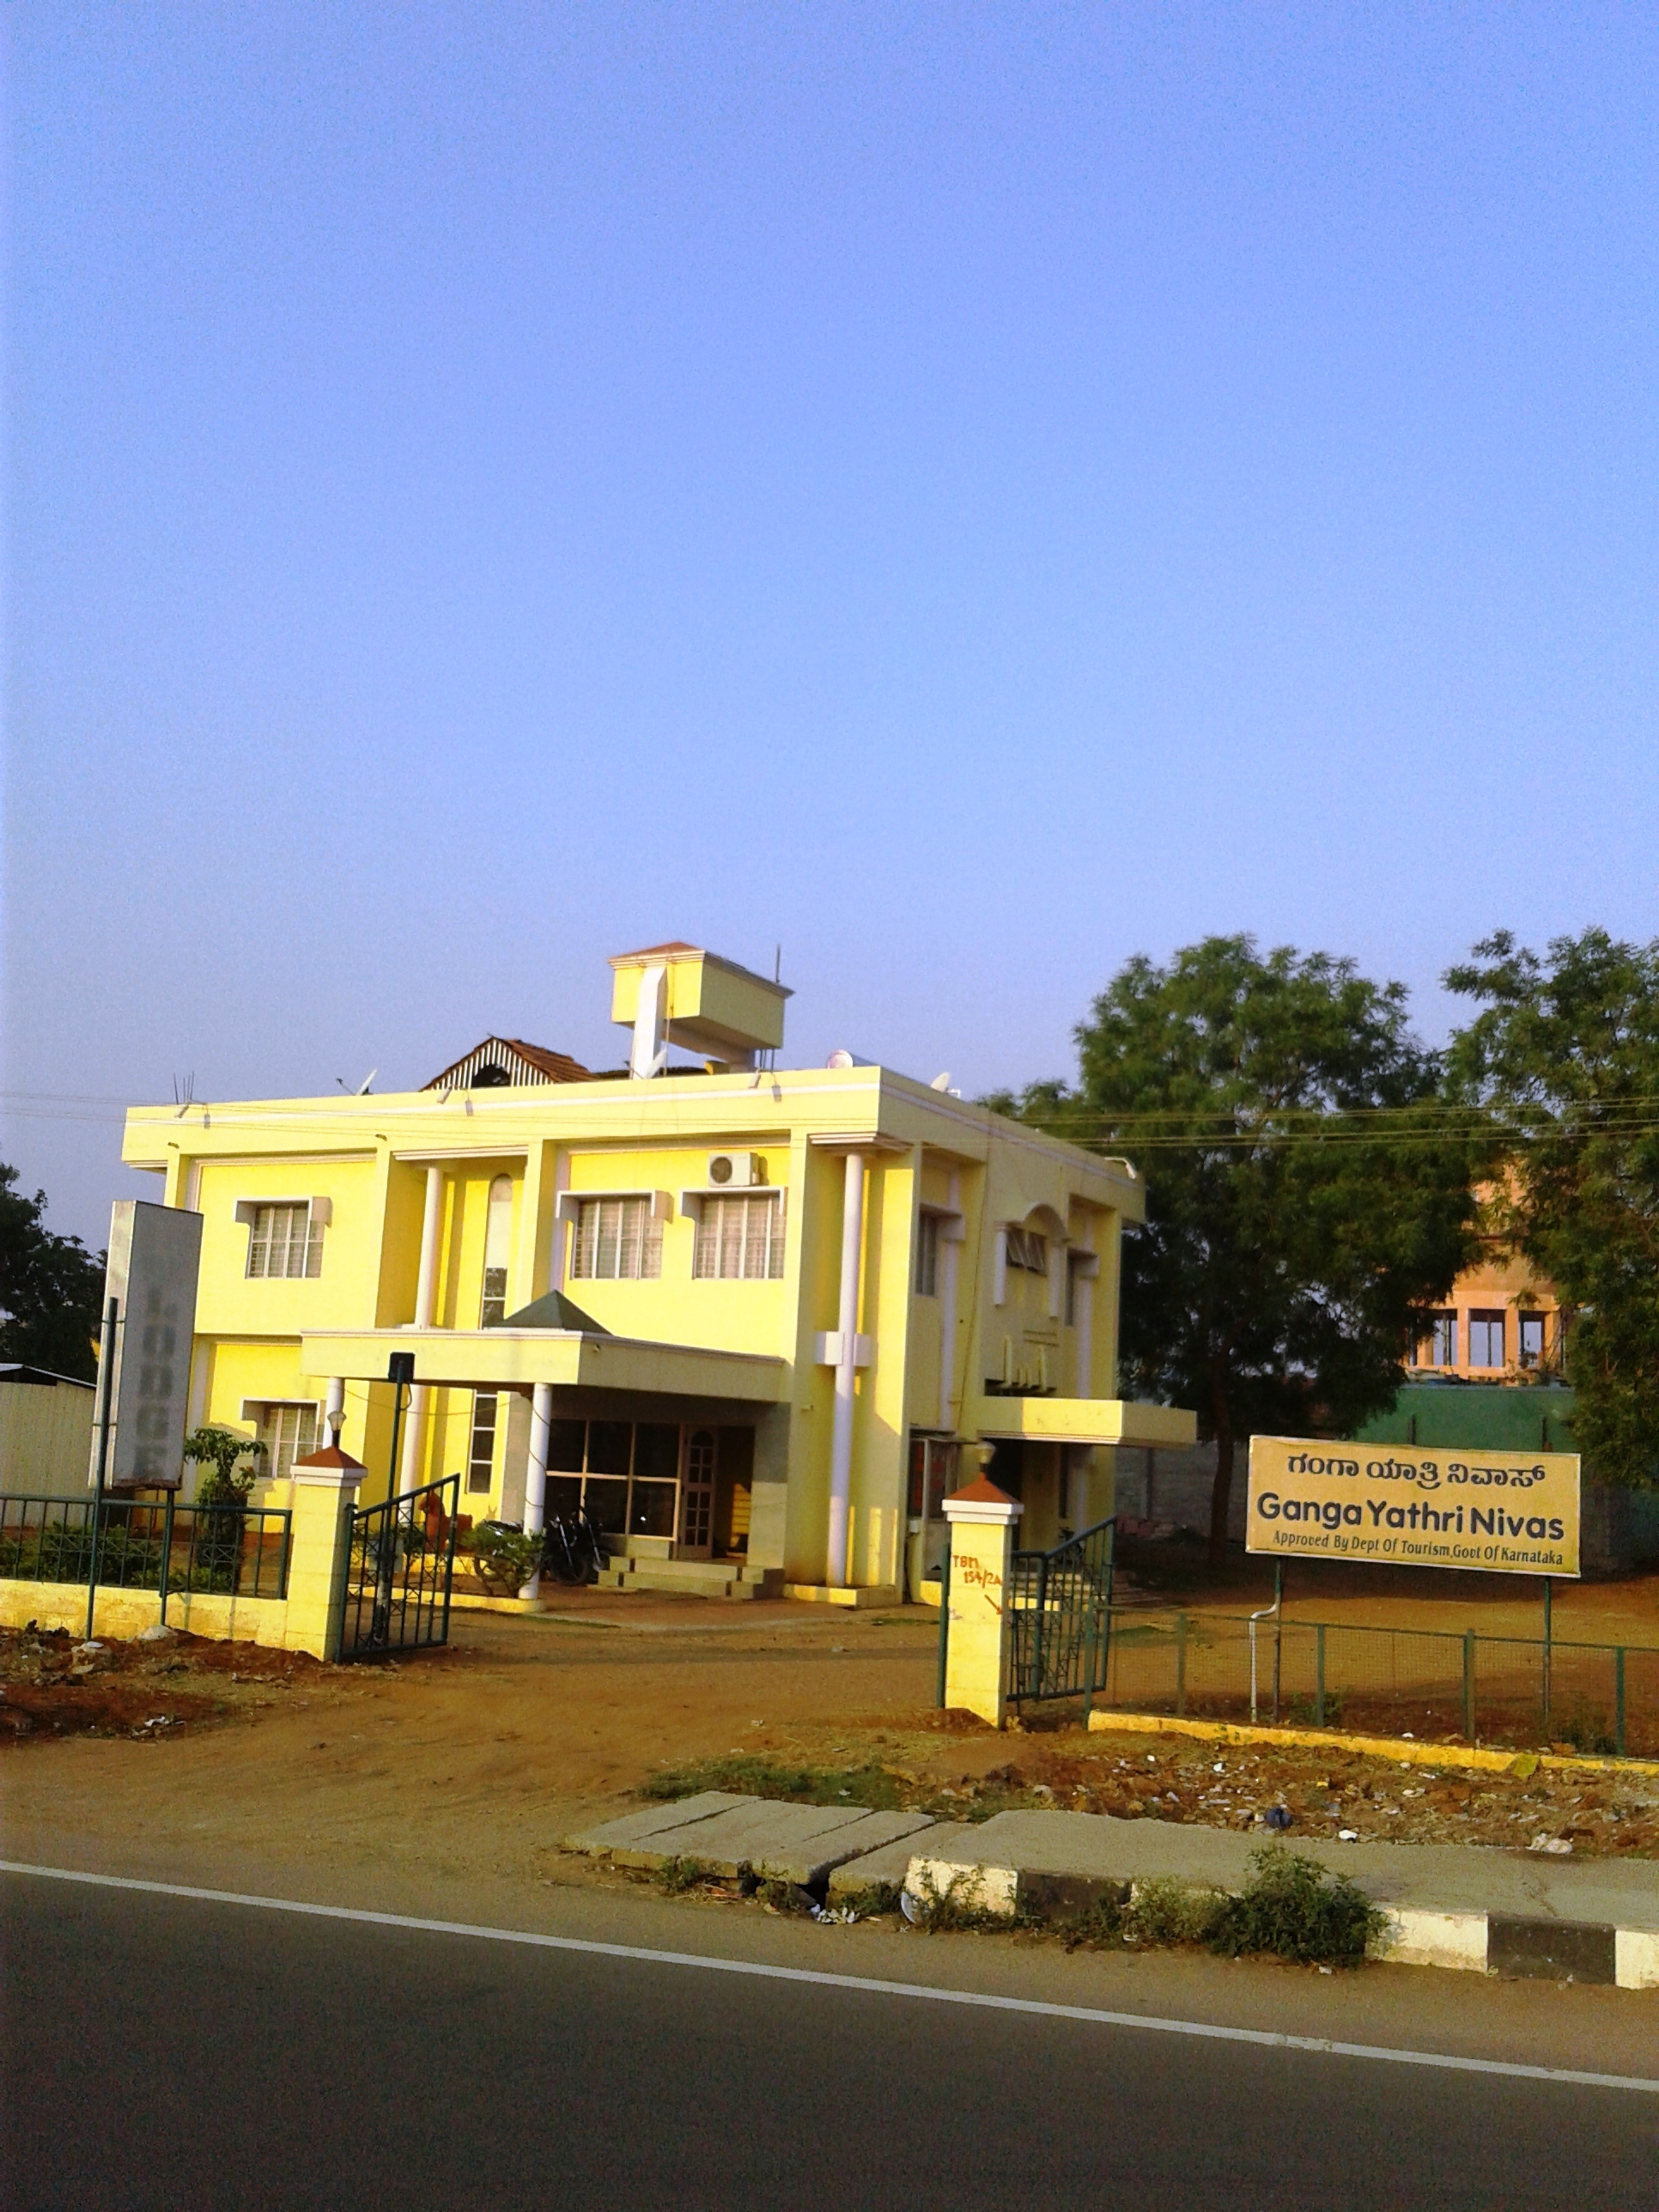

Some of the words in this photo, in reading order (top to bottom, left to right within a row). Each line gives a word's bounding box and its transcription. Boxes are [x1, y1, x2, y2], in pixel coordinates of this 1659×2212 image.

[1285, 1446, 1361, 1477] ಗಂಗಾ
[1363, 1450, 1443, 1493] ಯಾತ್ರಿ
[1447, 1461, 1547, 1492] ನಿವಾಸ್
[1254, 1488, 1364, 1533] Ganga
[1364, 1495, 1466, 1537] Yathri
[1469, 1499, 1568, 1543] Nivas
[1267, 1526, 1332, 1550] Approved
[1330, 1529, 1352, 1555] By
[1344, 1533, 1383, 1554] Dept
[1374, 1534, 1398, 1557] of
[1400, 1534, 1452, 1562] Tourism
[1447, 1536, 1484, 1562] Govt
[1479, 1541, 1502, 1566] of
[1499, 1541, 1569, 1566] Karnataka